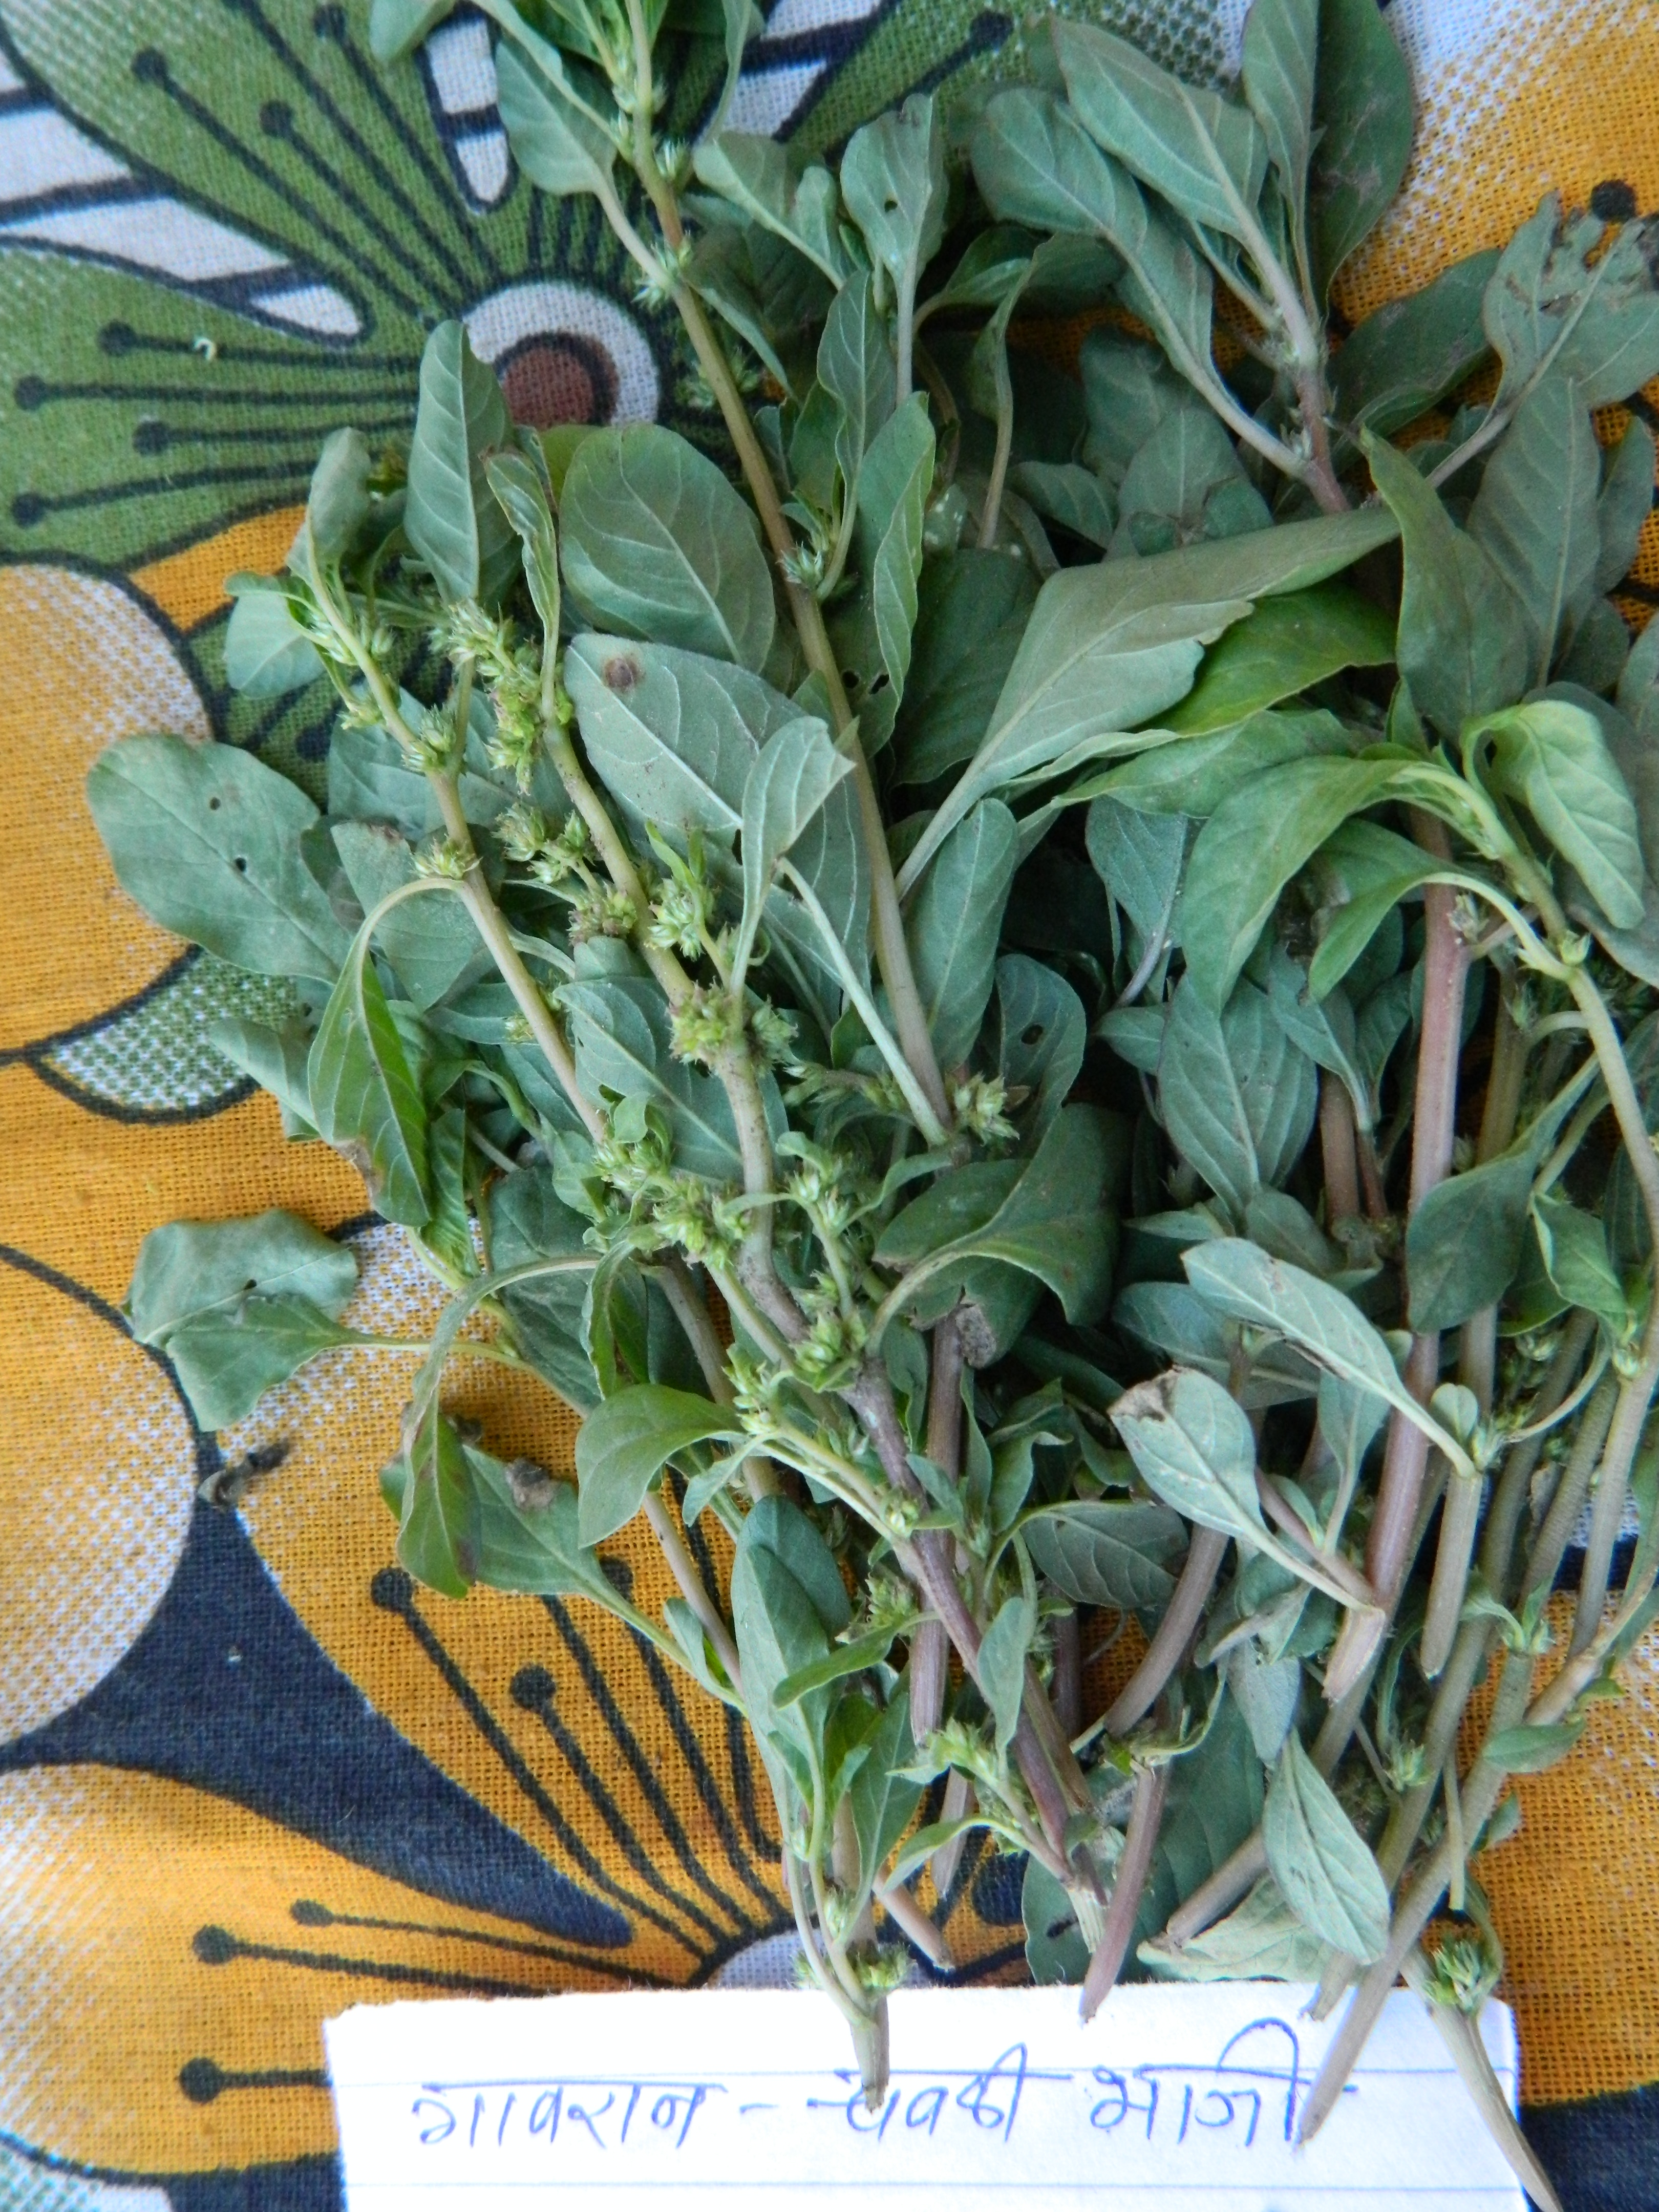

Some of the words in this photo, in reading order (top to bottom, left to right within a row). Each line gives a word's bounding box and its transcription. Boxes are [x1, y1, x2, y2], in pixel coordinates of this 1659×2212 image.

[394, 2071, 791, 2164] गावरान -
[789, 2031, 1086, 2170] चवकी
[1080, 2006, 1313, 2160] भजी